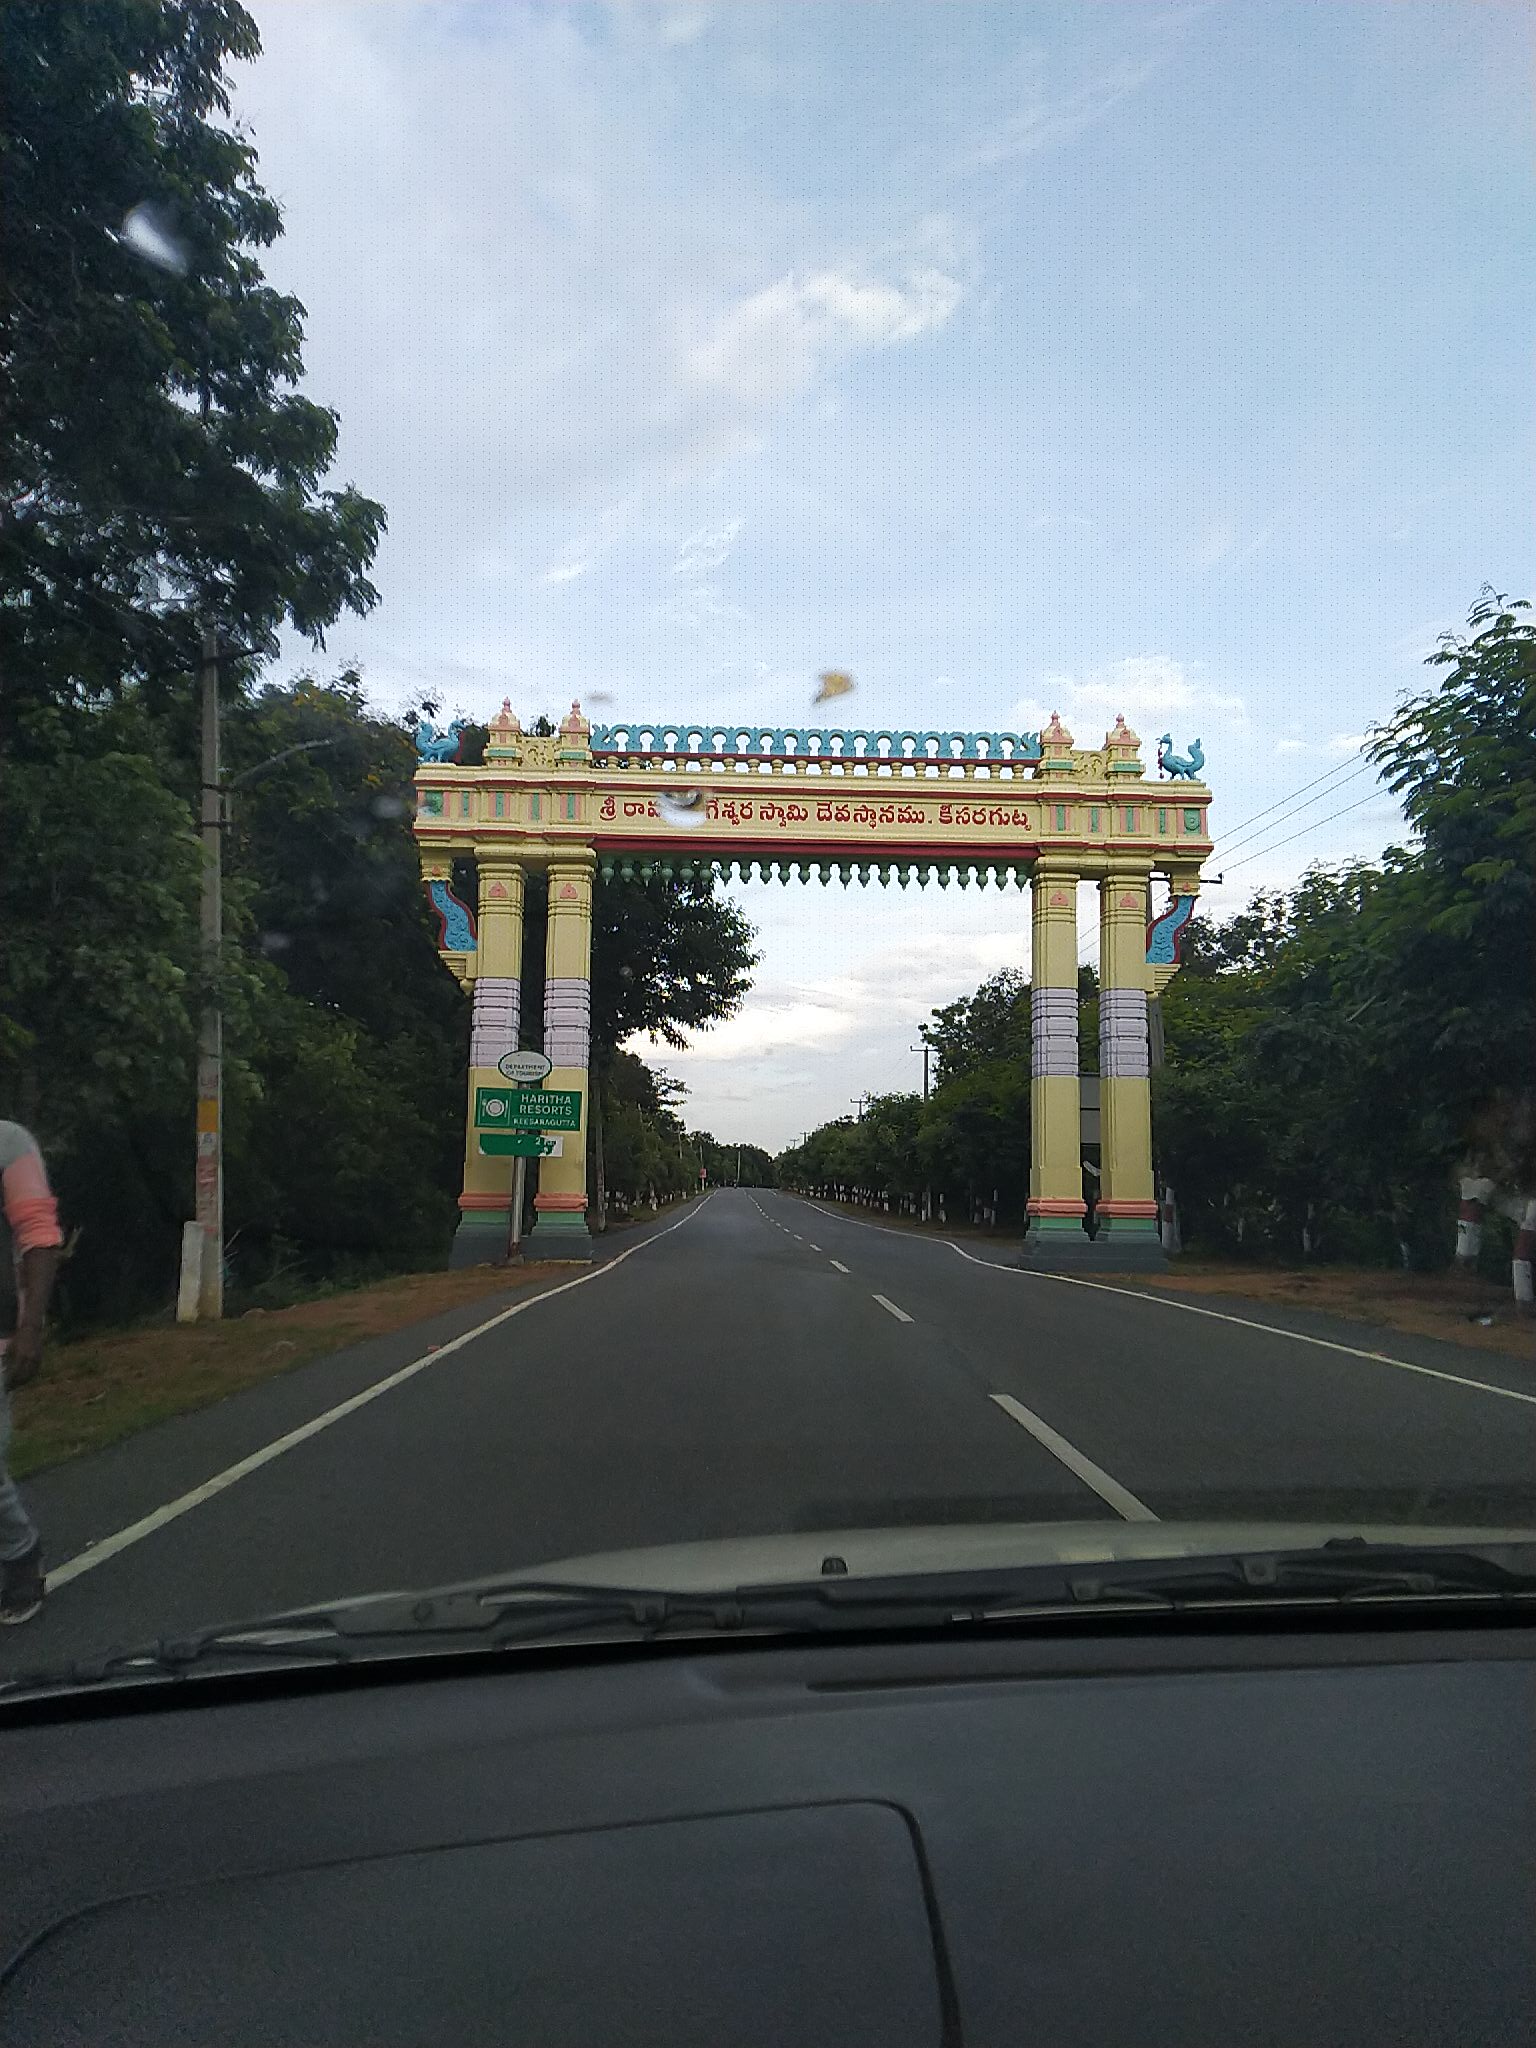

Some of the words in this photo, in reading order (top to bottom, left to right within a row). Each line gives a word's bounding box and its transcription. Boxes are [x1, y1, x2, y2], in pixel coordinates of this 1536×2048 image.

[592, 788, 623, 827] శ్ర
[620, 791, 675, 822] రా
[695, 792, 763, 830] గేశ్వర
[755, 791, 813, 830] స్వామి
[813, 796, 929, 832] దేవస్థానము
[932, 799, 1040, 833] కిసరగుట్స
[517, 1098, 575, 1120] RESORTS
[515, 1091, 578, 1111] HARITHA RESORTS